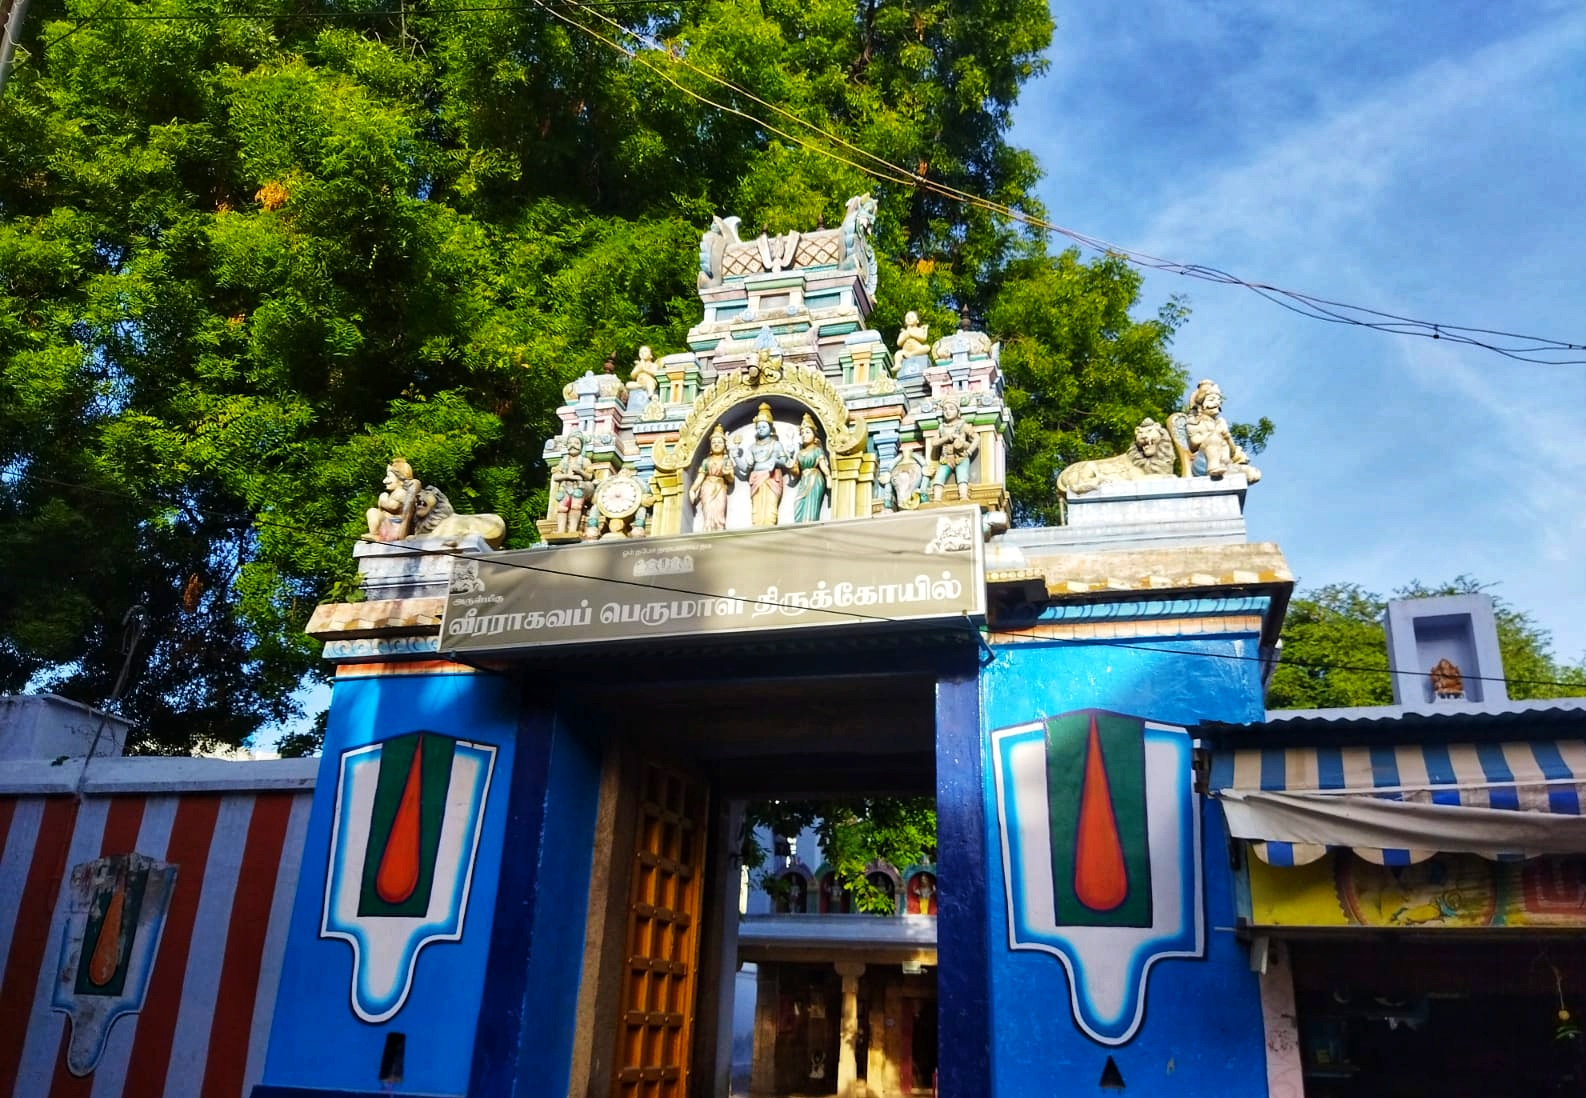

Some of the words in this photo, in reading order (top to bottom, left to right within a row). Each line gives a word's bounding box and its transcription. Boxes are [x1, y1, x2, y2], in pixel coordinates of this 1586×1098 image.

[438, 596, 599, 640] வீரராகவப்
[595, 586, 750, 630] பெருமாள்
[750, 566, 967, 623] திருக்கோயில்